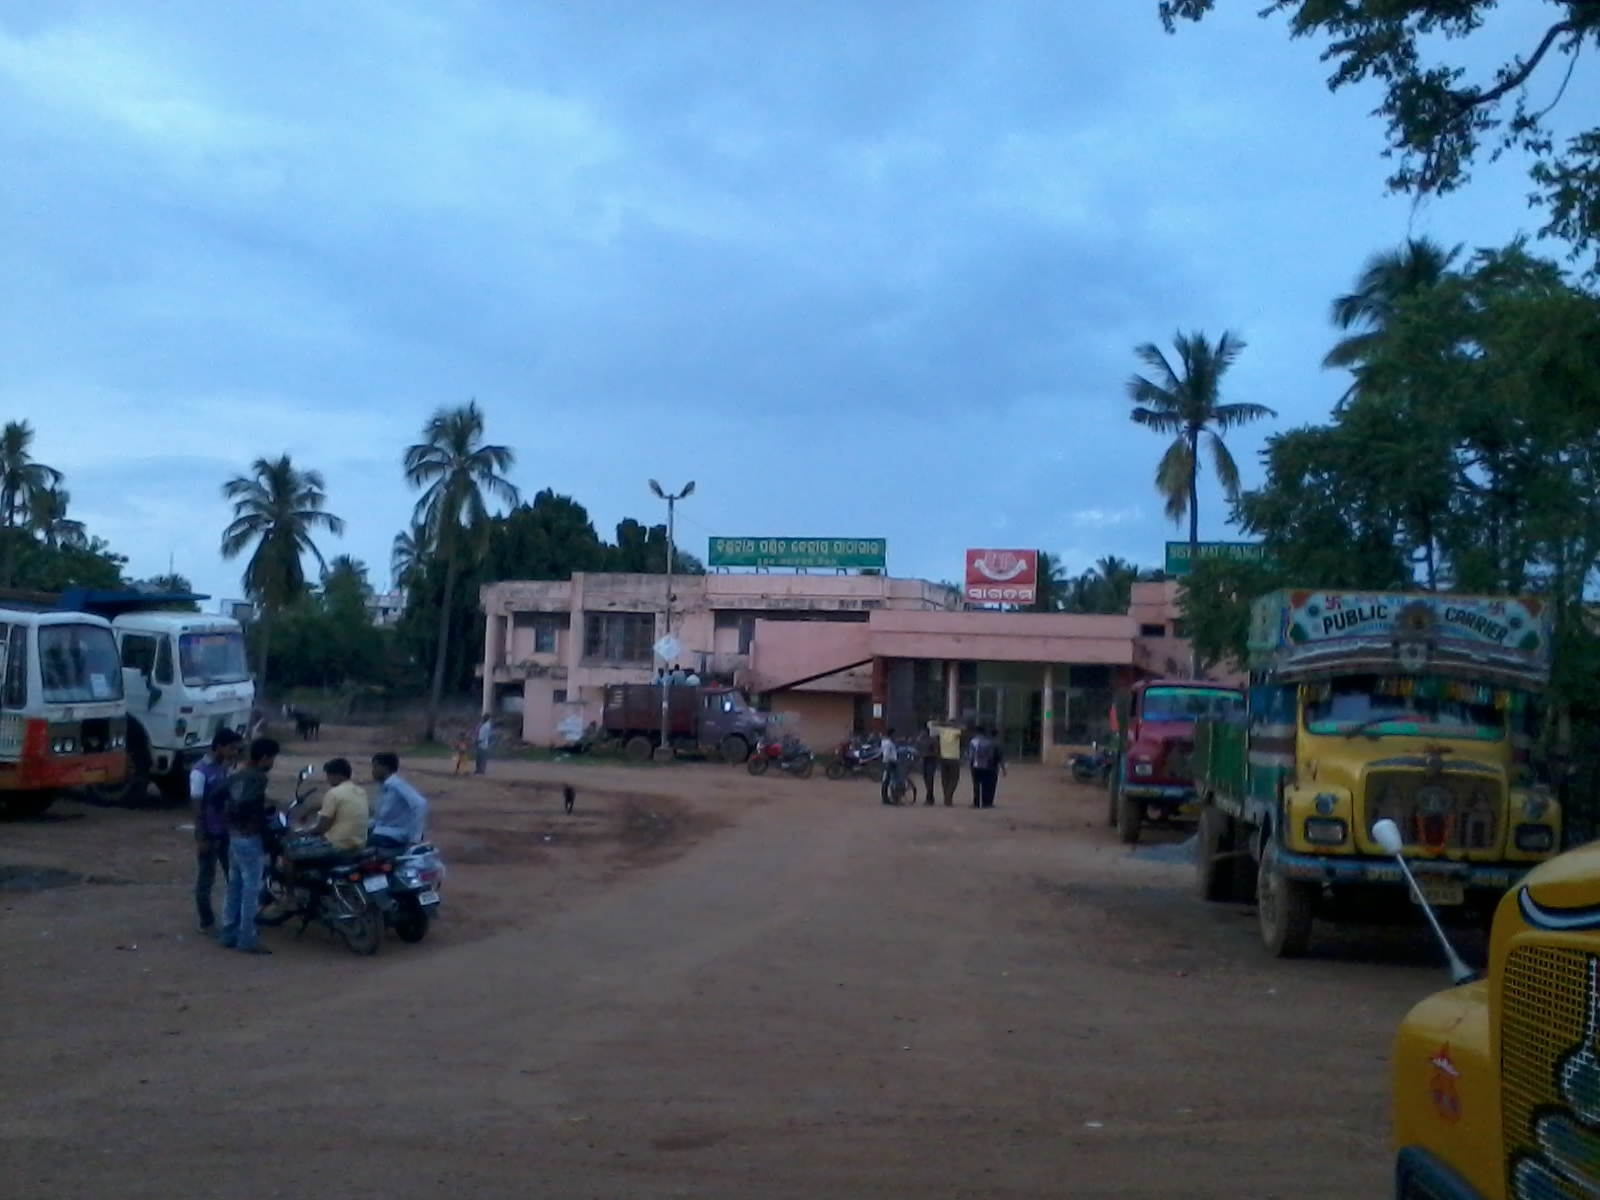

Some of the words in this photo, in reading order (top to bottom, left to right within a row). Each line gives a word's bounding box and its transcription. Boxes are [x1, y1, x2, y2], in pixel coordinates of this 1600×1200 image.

[965, 583, 1038, 604] ସାଗତମ
[1316, 597, 1391, 638] PUBLIC
[1441, 601, 1515, 651] CARRIER